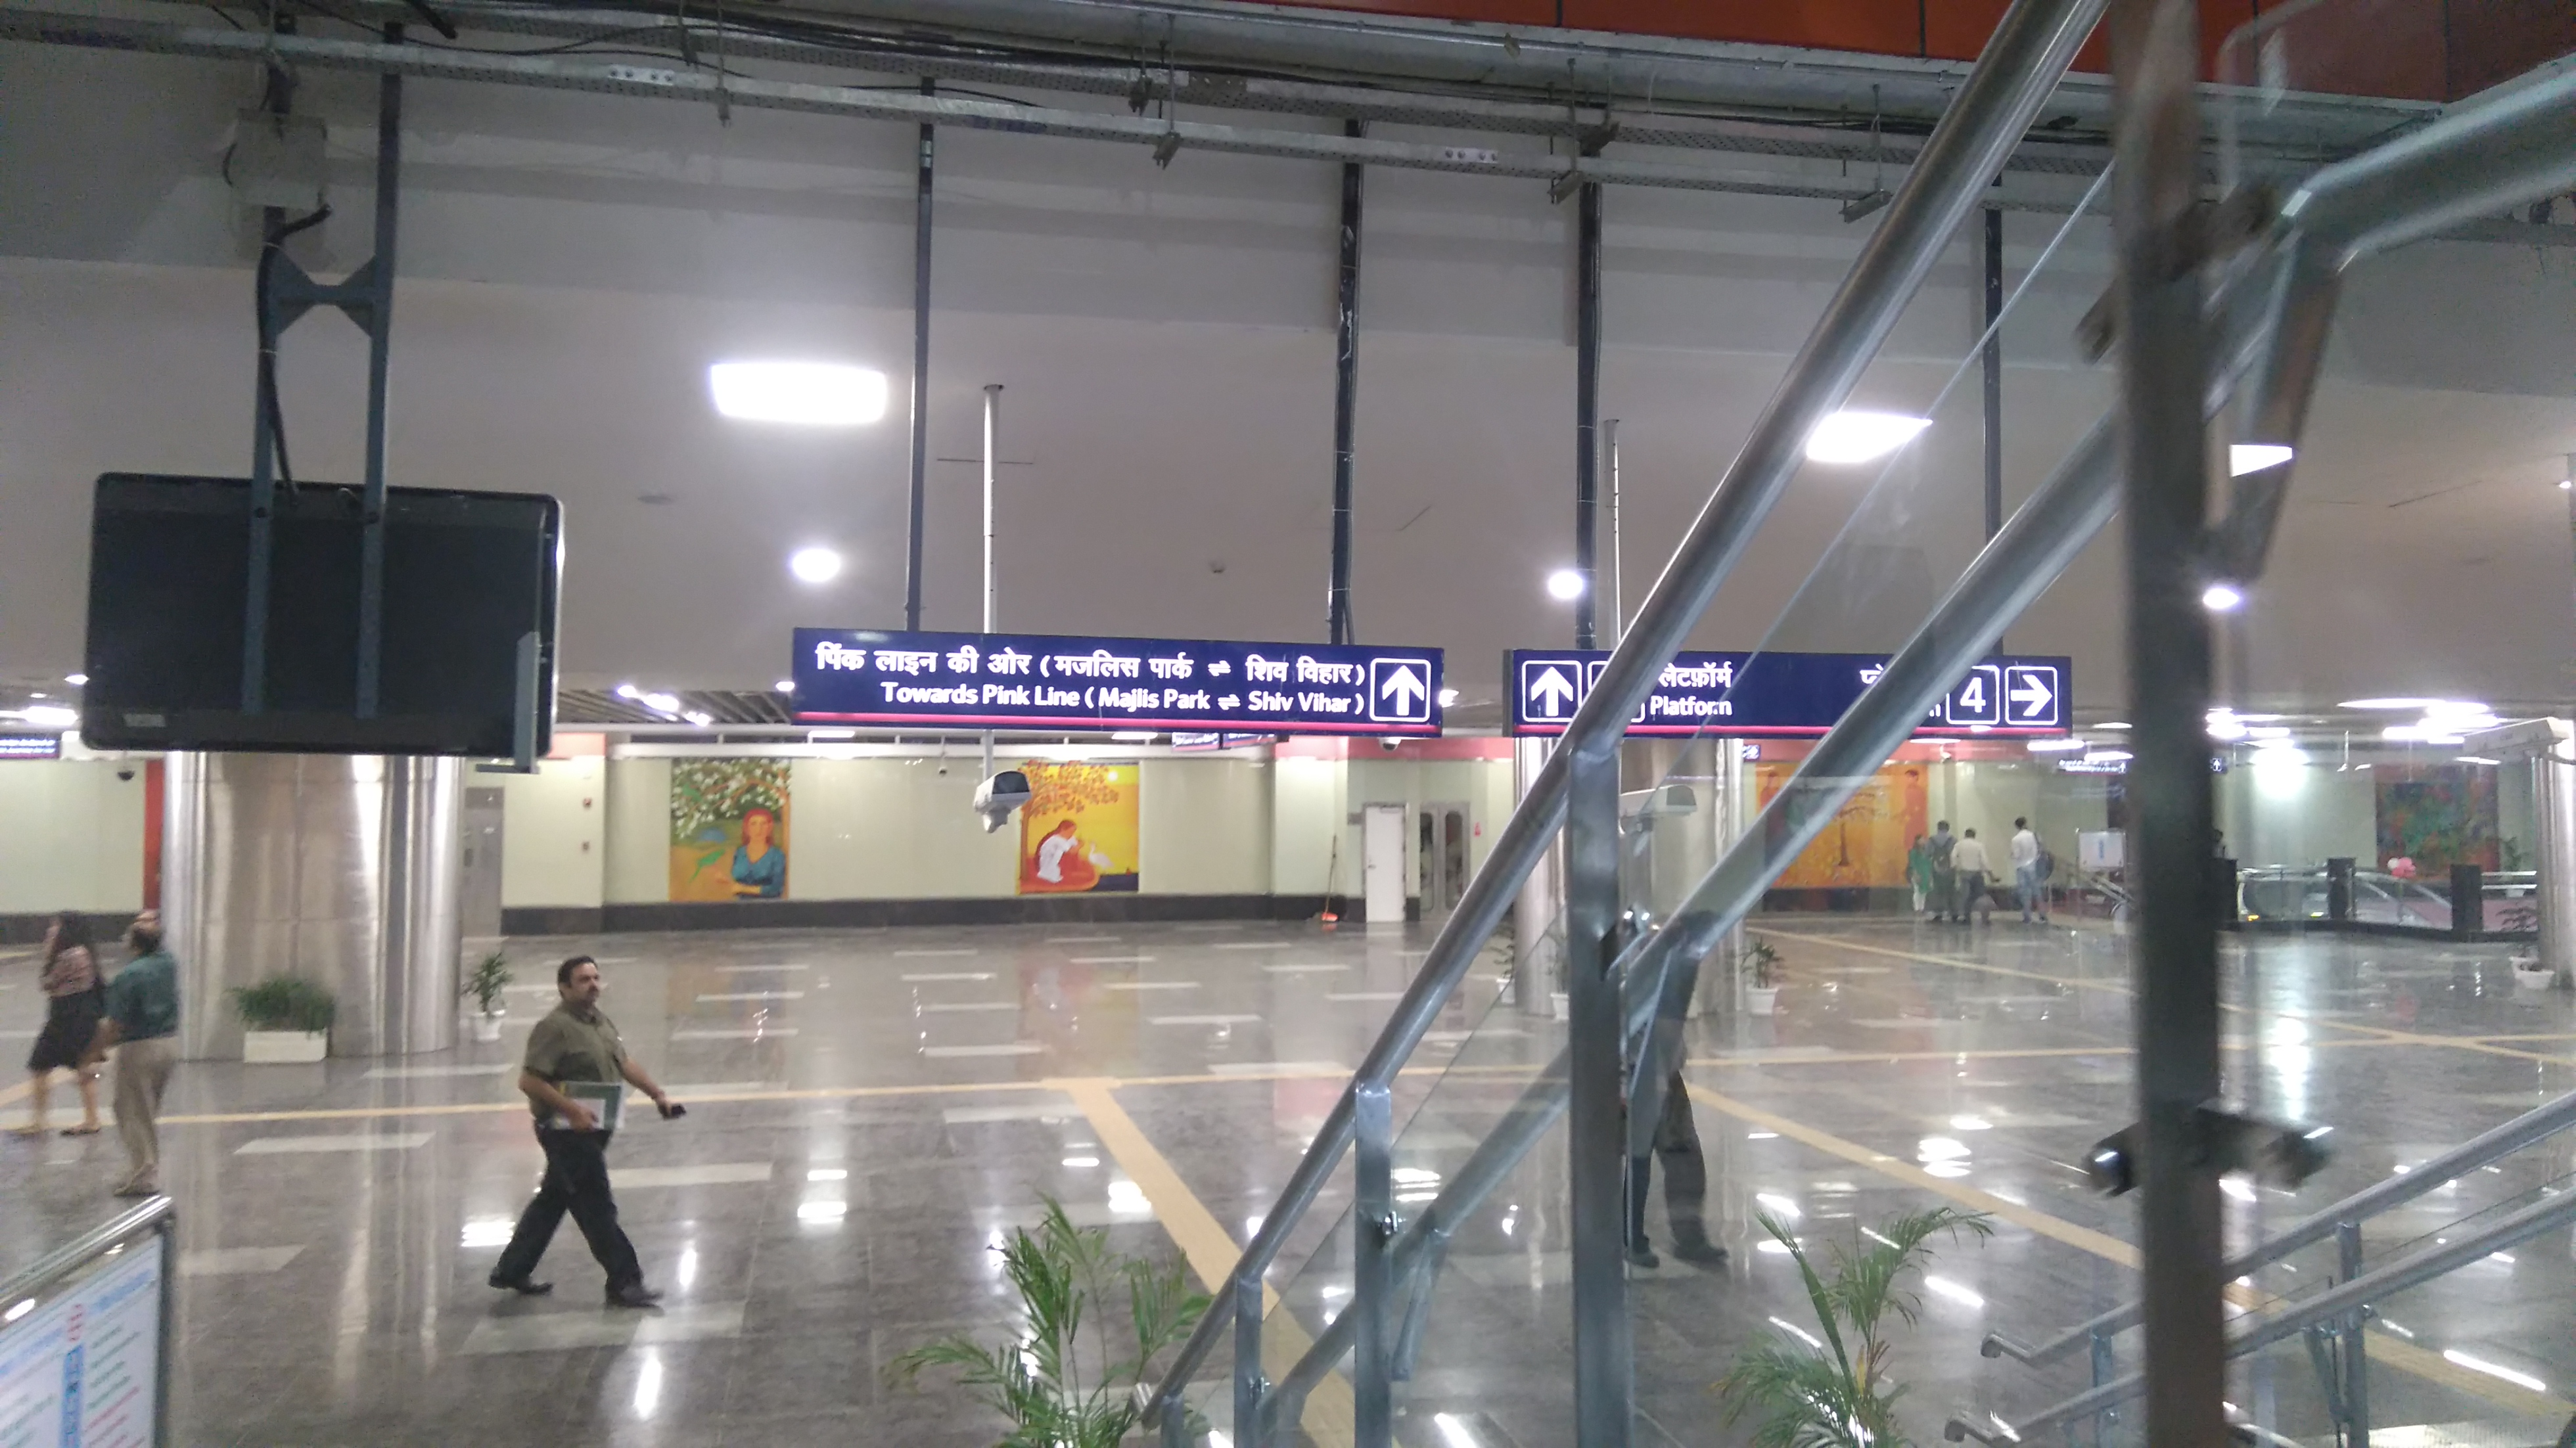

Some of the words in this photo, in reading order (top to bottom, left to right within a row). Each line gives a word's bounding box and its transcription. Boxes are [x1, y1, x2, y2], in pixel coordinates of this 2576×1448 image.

[812, 638, 865, 675] पिंक
[873, 646, 942, 679] लाइन
[942, 642, 984, 679] की
[983, 641, 1035, 683] ओर
[1051, 645, 1144, 687] मजलिस
[1147, 646, 1198, 688] पार्क
[1240, 650, 1291, 689] शिव
[1291, 648, 1356, 688] विहार
[1653, 656, 1736, 692] लेटफ़ॉर्म
[881, 679, 980, 708] Towards
[980, 680, 1032, 709] Pink
[1032, 681, 1082, 710] Line
[1095, 684, 1164, 717] Majlis
[1161, 685, 1214, 714] Park
[1244, 685, 1297, 715] Shiv
[1295, 689, 1354, 717] Vihar
[1636, 689, 1737, 722] Platforn